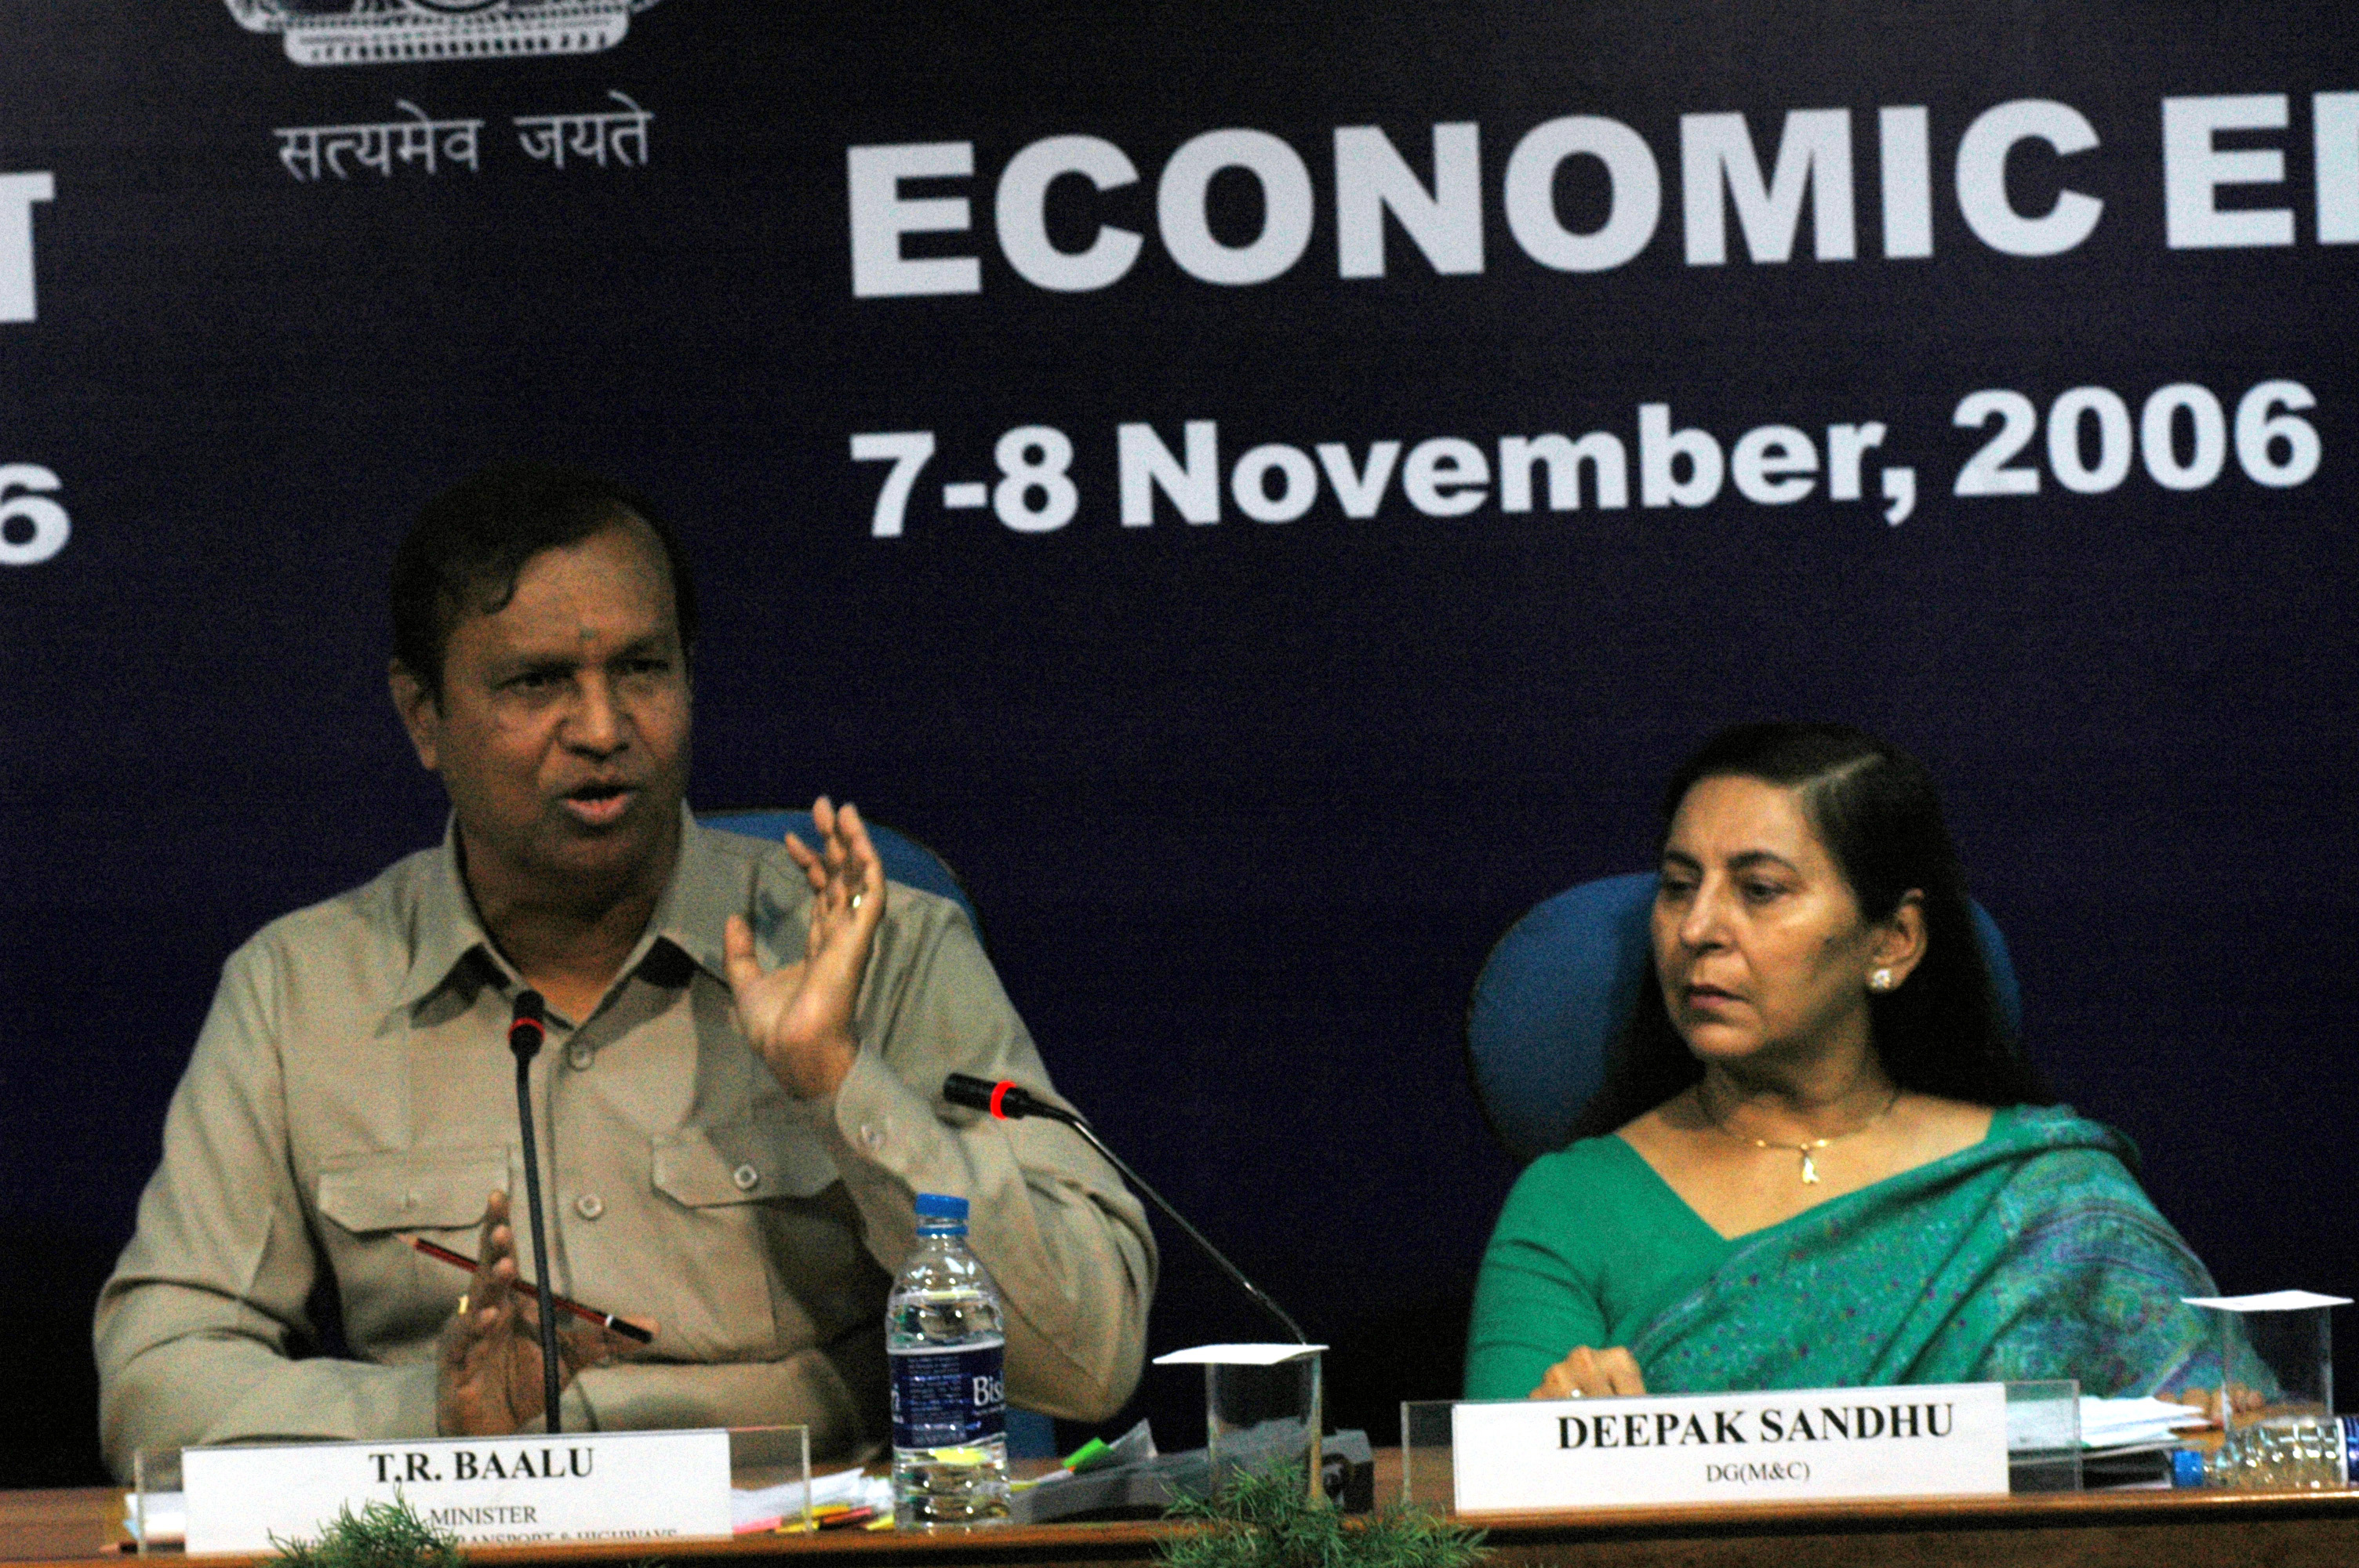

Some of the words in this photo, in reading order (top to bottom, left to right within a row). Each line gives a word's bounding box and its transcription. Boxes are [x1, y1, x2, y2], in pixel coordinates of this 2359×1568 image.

[267, 88, 491, 196] सत्यमेव
[511, 74, 654, 173] जयते
[835, 95, 2108, 307] ECONOMIC
[2135, 79, 2353, 270] E
[846, 419, 1086, 546] 7-8
[1117, 401, 1888, 532] November
[1950, 377, 2328, 503] 2006
[369, 1448, 448, 1490] T.R.
[427, 1504, 543, 1530] MINISTER
[453, 1445, 594, 1488] BAALU
[1557, 1405, 1750, 1456] DEEPAK
[1703, 1458, 1810, 1493] DG(M&C)
[1755, 1403, 1956, 1450] SANDHU